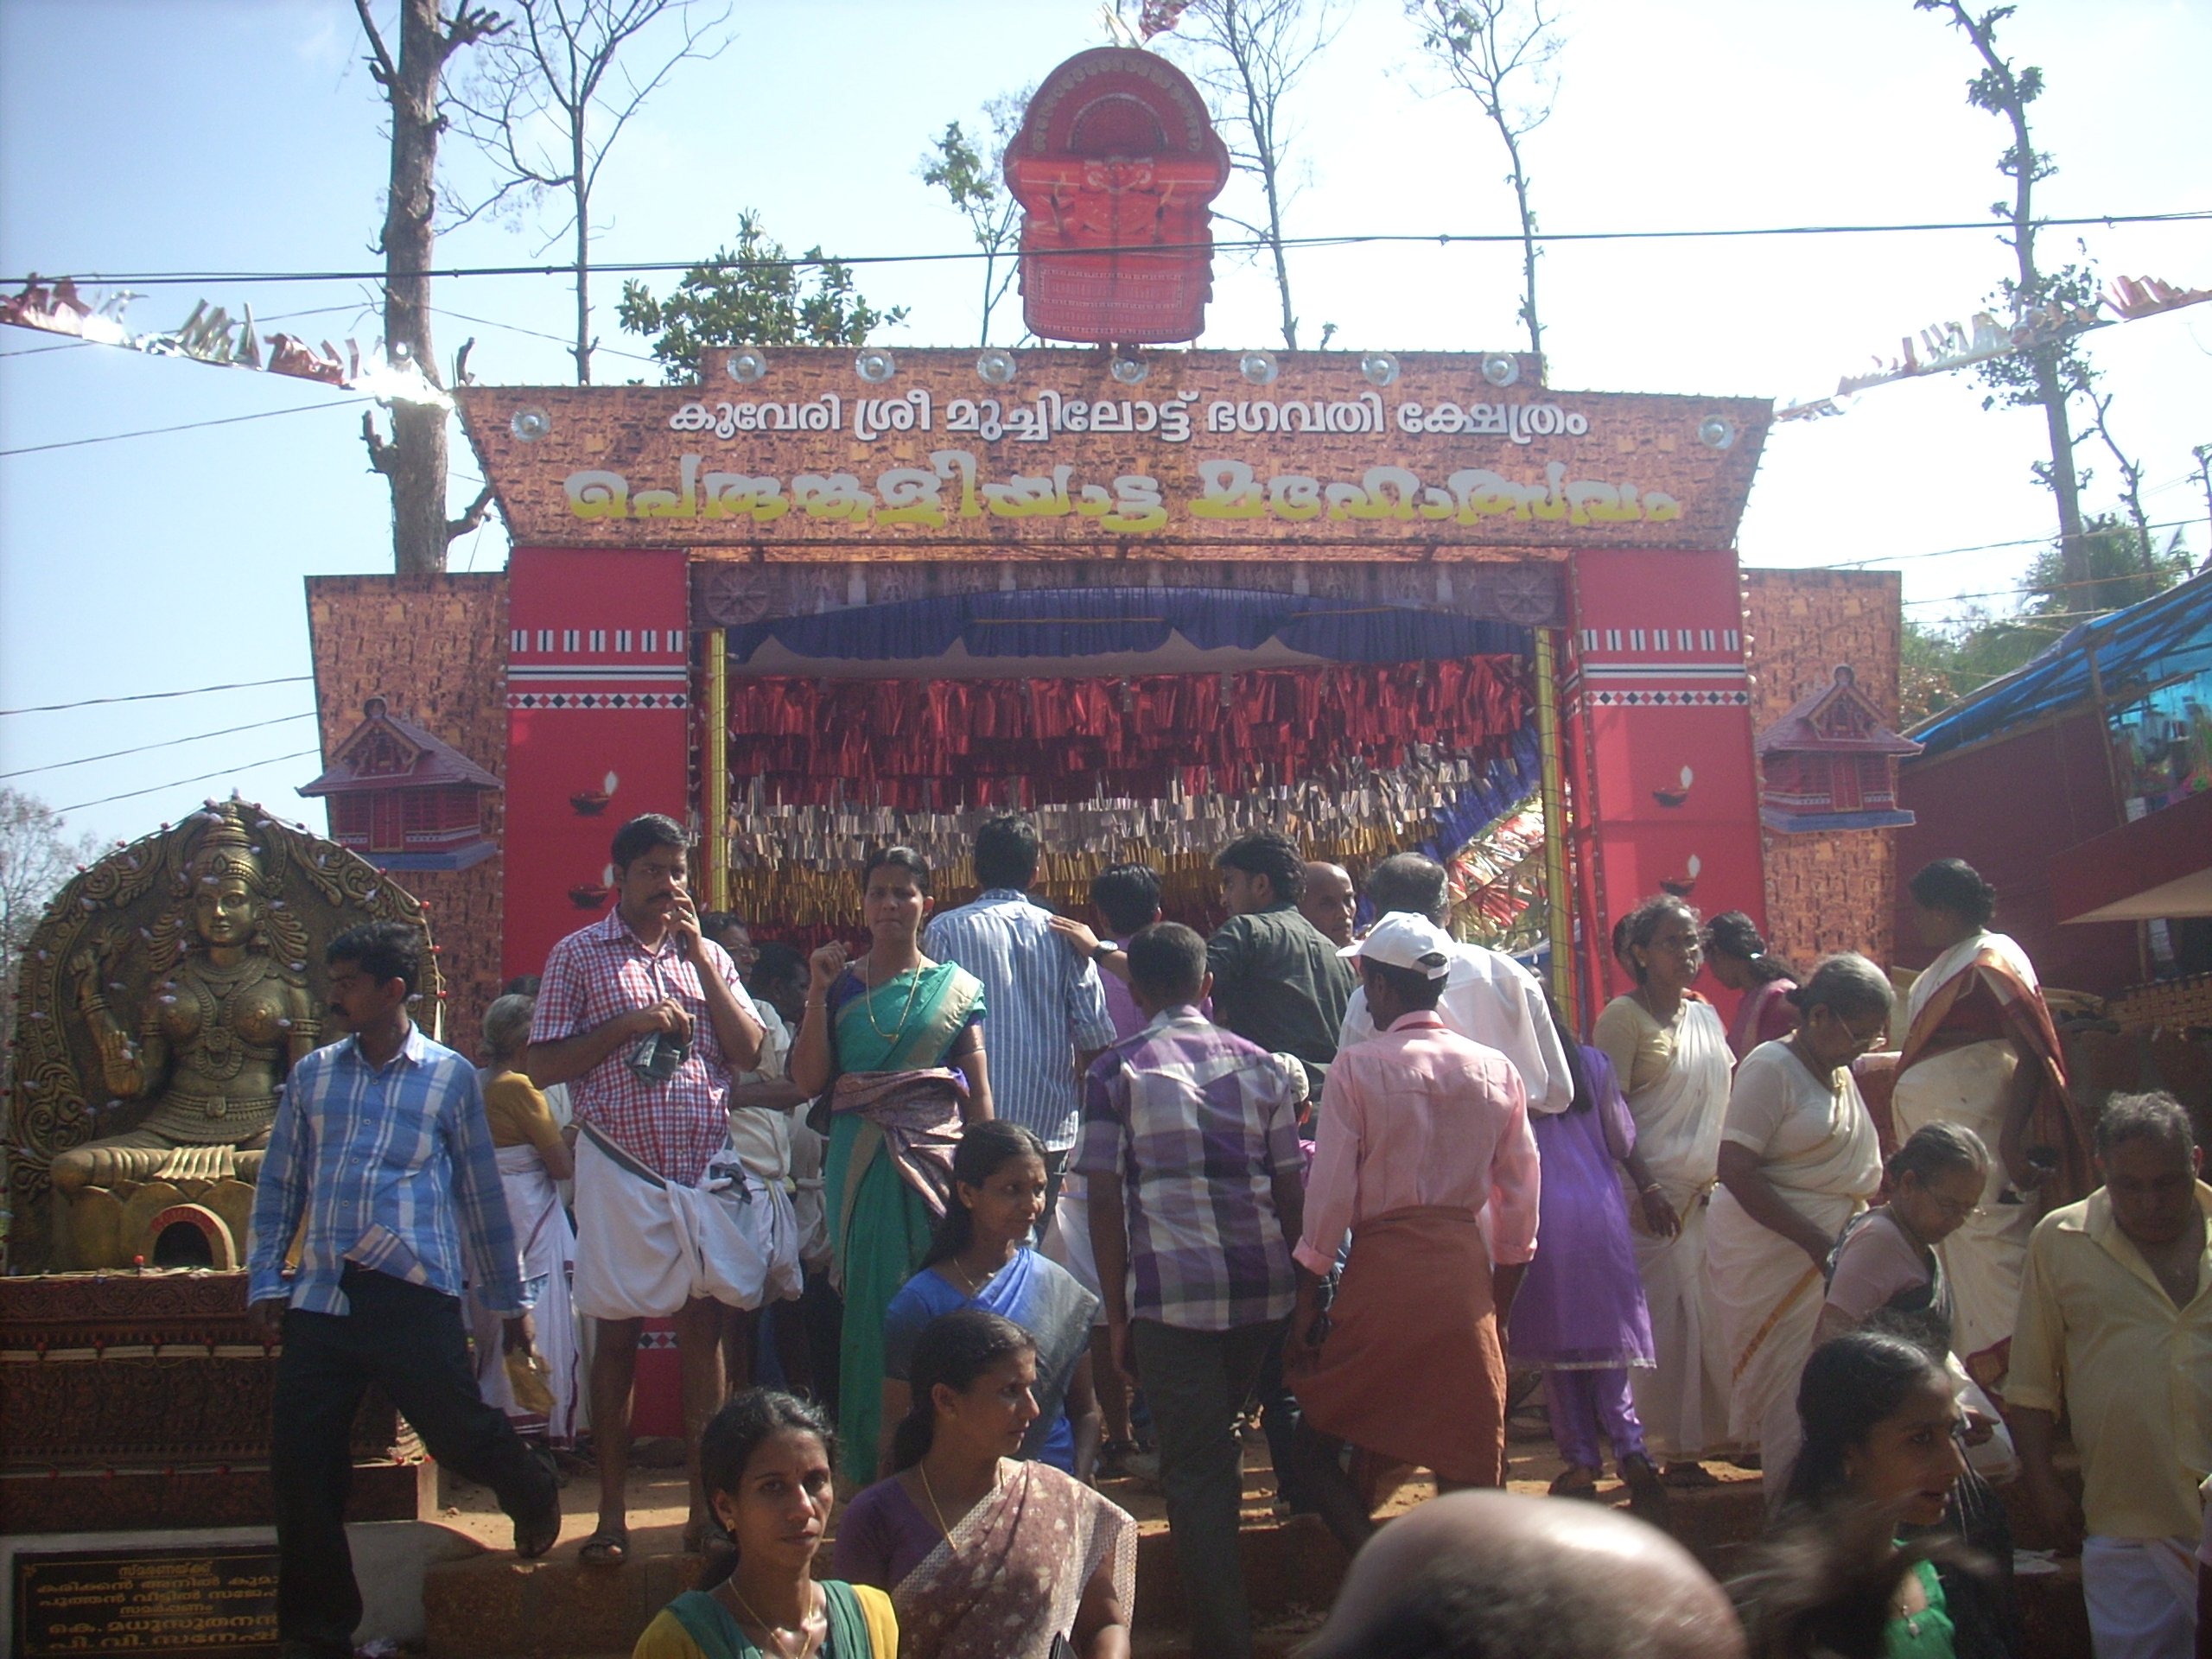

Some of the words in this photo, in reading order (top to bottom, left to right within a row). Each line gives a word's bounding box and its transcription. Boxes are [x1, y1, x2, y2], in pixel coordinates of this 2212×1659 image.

[664, 386, 846, 444] കുവേരി
[849, 383, 934, 447] ശ്രീ
[939, 383, 1204, 446] മുച്ചിലോട്ട്
[1208, 385, 1390, 435] ഭഗവതി
[1394, 397, 1592, 448] ക്ഷേത്രം
[32, 1575, 136, 1599] കരിക്കൻ
[37, 1588, 132, 1609] പുത്തൻ
[130, 1582, 205, 1605] വിളിൽ
[134, 1570, 227, 1591] അനിൽ
[46, 1619, 108, 1636] കെ.
[44, 1629, 150, 1652] പി.വി.
[104, 1610, 283, 1637] മധുസൂതനൻ
[149, 1626, 283, 1649] സനേഷ്